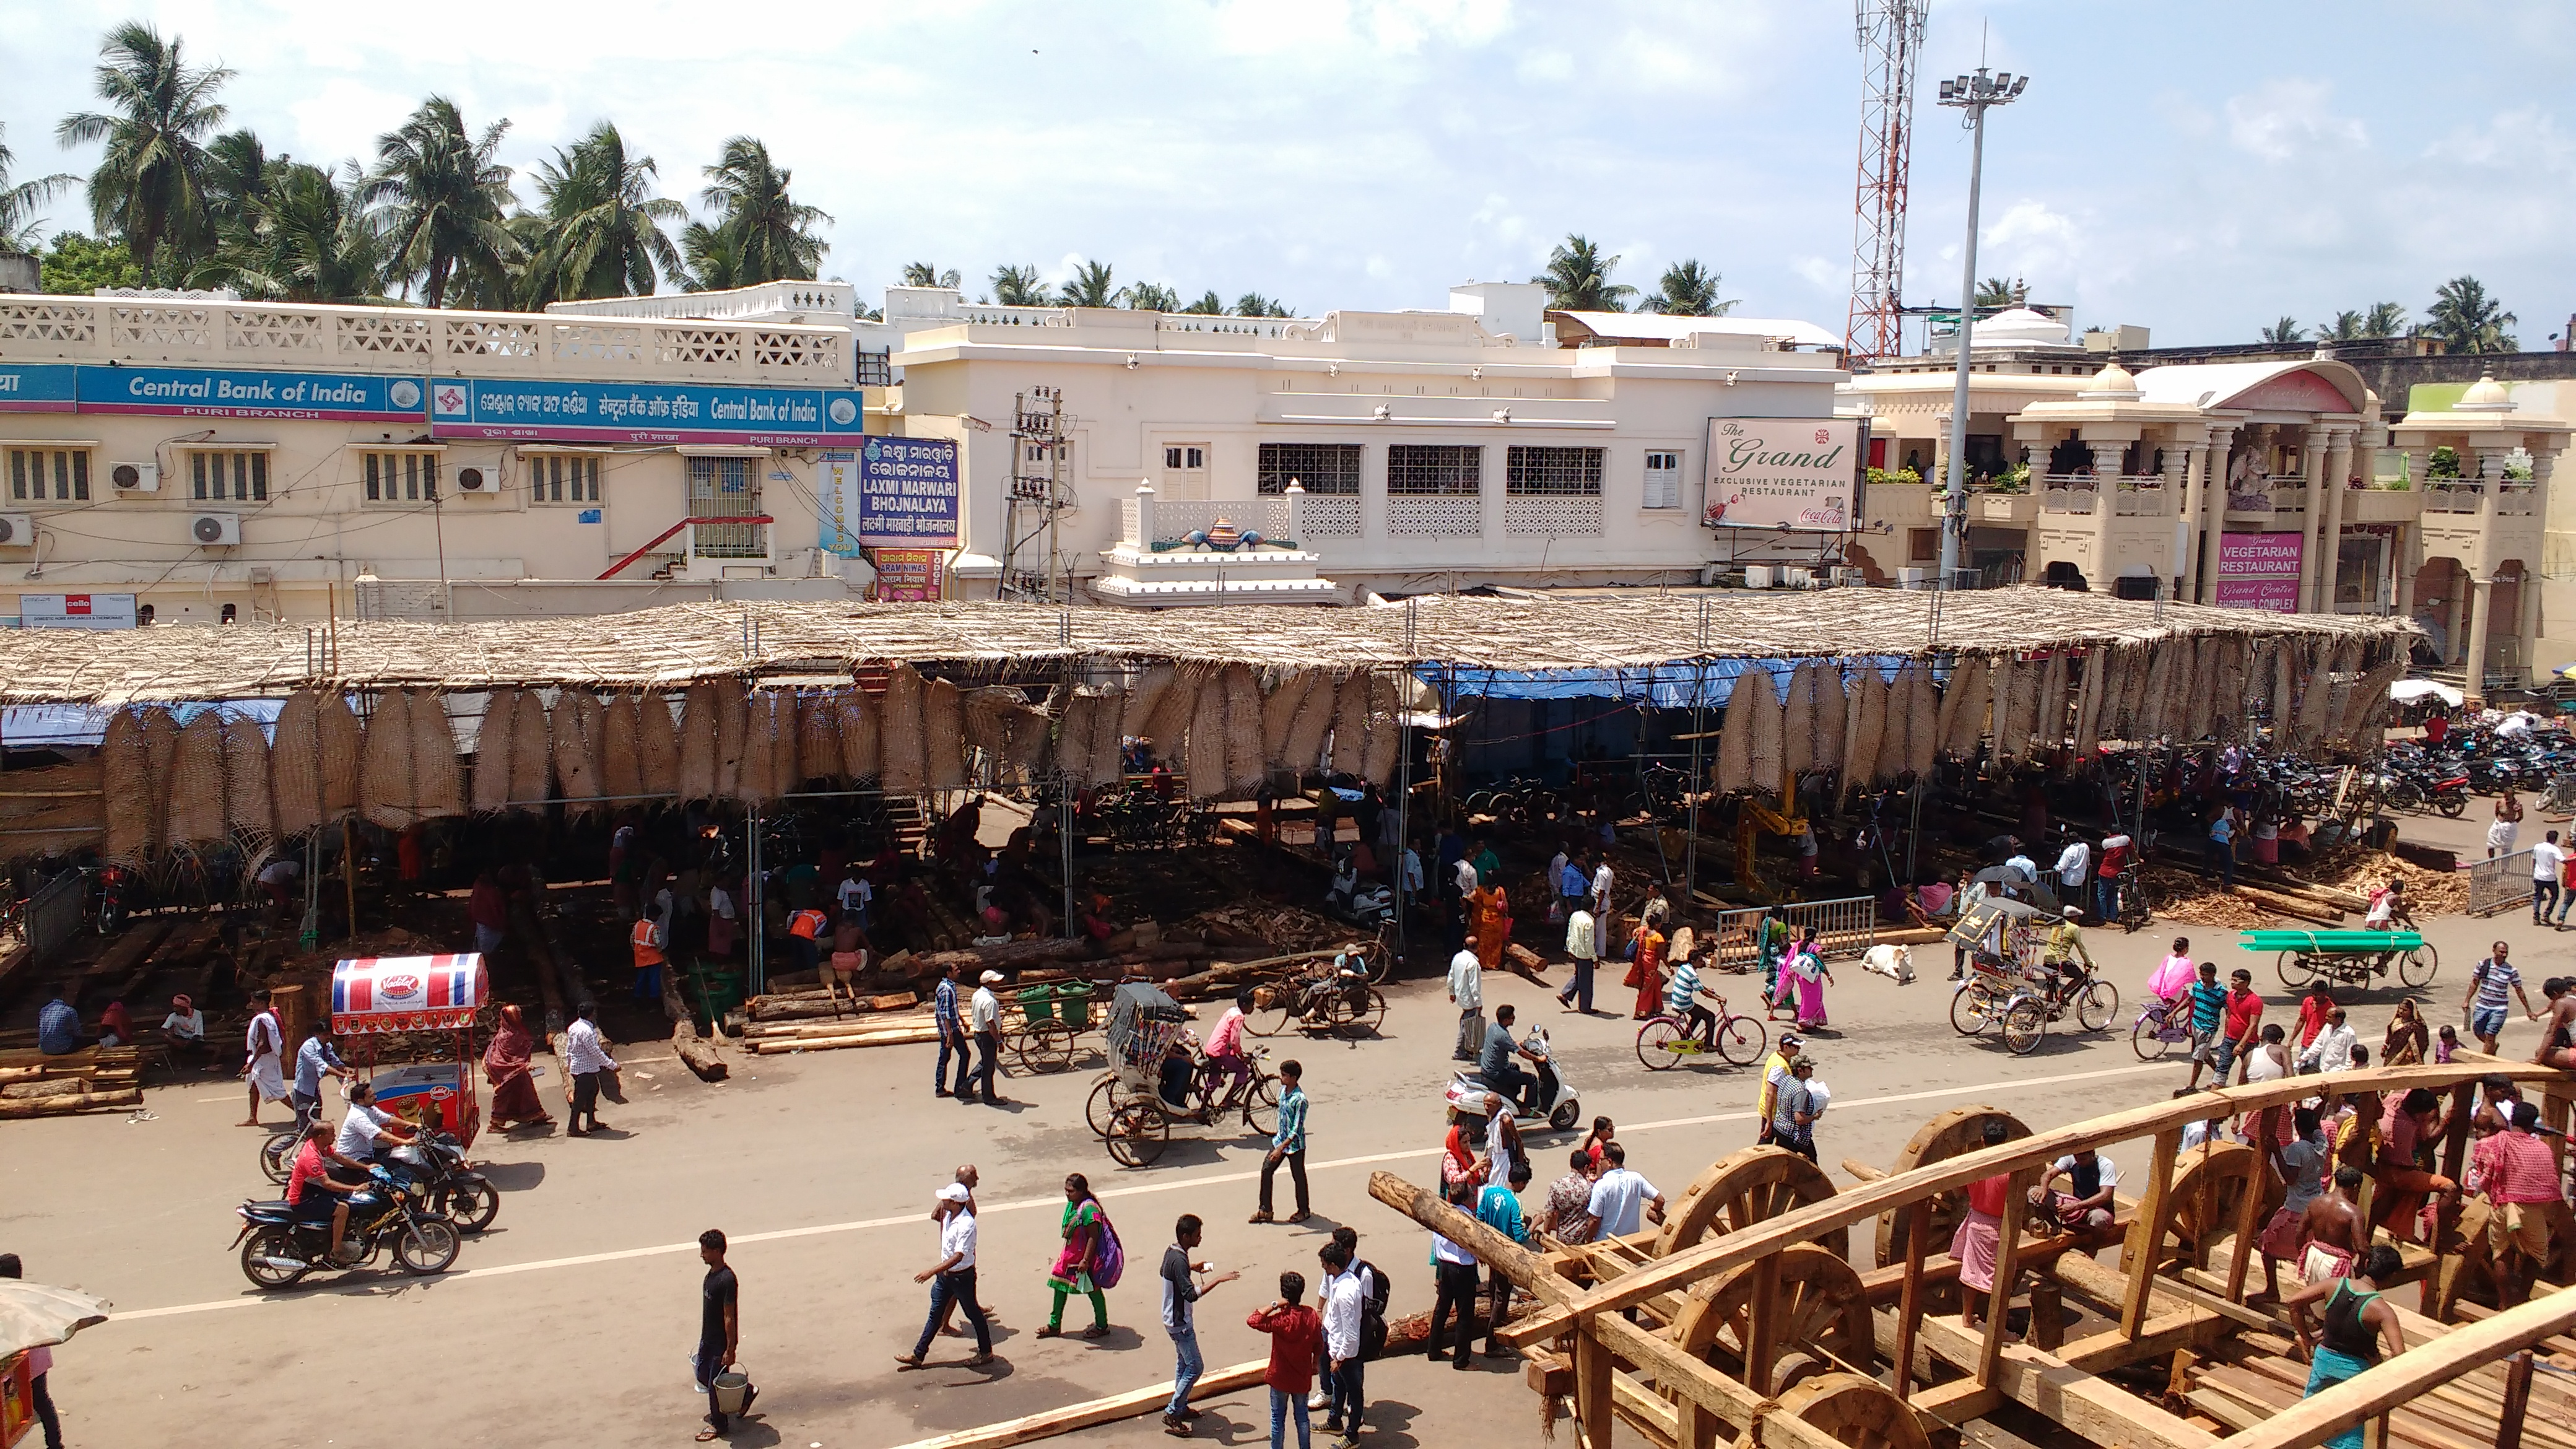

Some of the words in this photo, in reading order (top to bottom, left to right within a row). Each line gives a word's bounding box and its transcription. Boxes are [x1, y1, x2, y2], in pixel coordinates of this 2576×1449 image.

[128, 371, 215, 400] Central
[180, 406, 233, 419] PURI
[216, 375, 279, 401] Bank
[233, 407, 321, 421] BRANCH
[280, 376, 309, 404] of
[304, 375, 371, 407] India
[479, 390, 517, 416] ସେଣ୍ଟ୍ରାଲ୍
[515, 388, 546, 419] ବ୍ୟାଙ୍କ୍
[540, 392, 562, 419] ଅଫ୍
[559, 386, 591, 417] ଇଣ୍ଡିଆ
[594, 389, 632, 427] सेन्ट्रल
[625, 388, 650, 419] बैंक
[645, 390, 673, 420] ऑफ़
[668, 389, 703, 422] इंडिया
[709, 392, 750, 422] Central
[747, 394, 780, 424] Bank
[775, 394, 794, 427] of
[791, 396, 821, 424] India
[479, 423, 509, 440] ପୁରୀ
[508, 425, 543, 441] ଣାଖା
[627, 427, 650, 444] पुरी
[647, 431, 683, 444] शाखा
[747, 433, 776, 448] PURI
[772, 435, 819, 447] BRANCH
[1716, 419, 1749, 442] The
[876, 441, 910, 464] ଲକ୍ଷ୍ମୀ
[908, 440, 957, 466] ମାରଓ୍ବାଡ଼ି
[1717, 430, 1847, 477] Grand
[867, 459, 951, 481] ଭୋଜନାଳୟ
[861, 474, 901, 497] LAXMI
[899, 477, 959, 498] MARWARI
[1711, 475, 1770, 489] EXCLUSIVE
[1738, 484, 1817, 497] RESTAURANT
[1770, 473, 1847, 490] VEGETARIAN
[832, 464, 847, 545] WELCOMES
[869, 490, 949, 516] BHOJNALAYA
[855, 509, 887, 535] लक्ष्मी
[883, 511, 917, 537] मारवाड़ी
[912, 511, 957, 536] भोजनालय
[1796, 505, 1847, 527] CocaCola
[827, 542, 853, 552] YOU
[879, 573, 903, 585] आराम
[879, 562, 905, 575] ARAM
[879, 550, 908, 565] ଆରାମ
[900, 568, 929, 585] निवास
[901, 560, 929, 574] NIWAS
[903, 549, 929, 566] ନିବାସ
[2219, 579, 2260, 599] Grand
[2219, 556, 2300, 575] RESTAURANT
[2221, 542, 2299, 559] VEGETARIAN
[2258, 580, 2297, 600] Centre
[2213, 595, 2258, 614] SHOPPING
[2256, 596, 2297, 613] COMPLEX